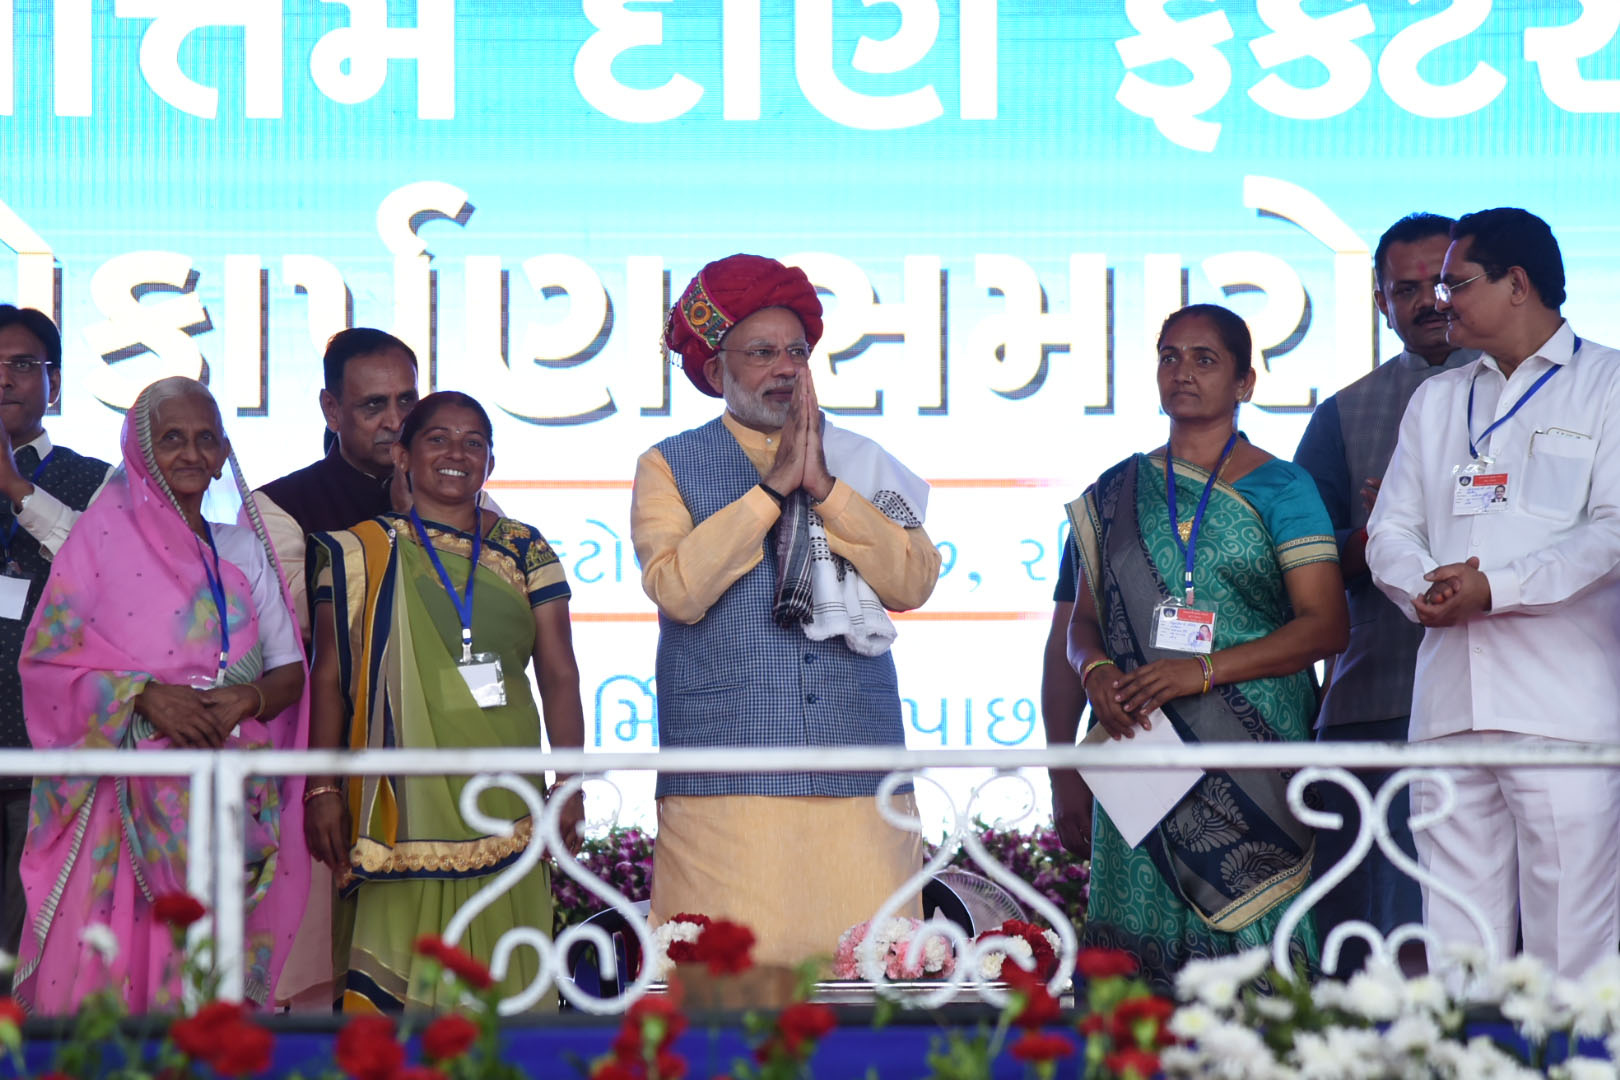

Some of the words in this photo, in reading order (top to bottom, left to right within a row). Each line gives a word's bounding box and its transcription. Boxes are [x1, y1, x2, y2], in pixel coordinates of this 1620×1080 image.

[449, 245, 675, 441] ણ
[775, 248, 1197, 421] સમ
[568, 506, 628, 594] ટો
[1009, 531, 1052, 590] 2
[586, 670, 662, 750] ર્મિ